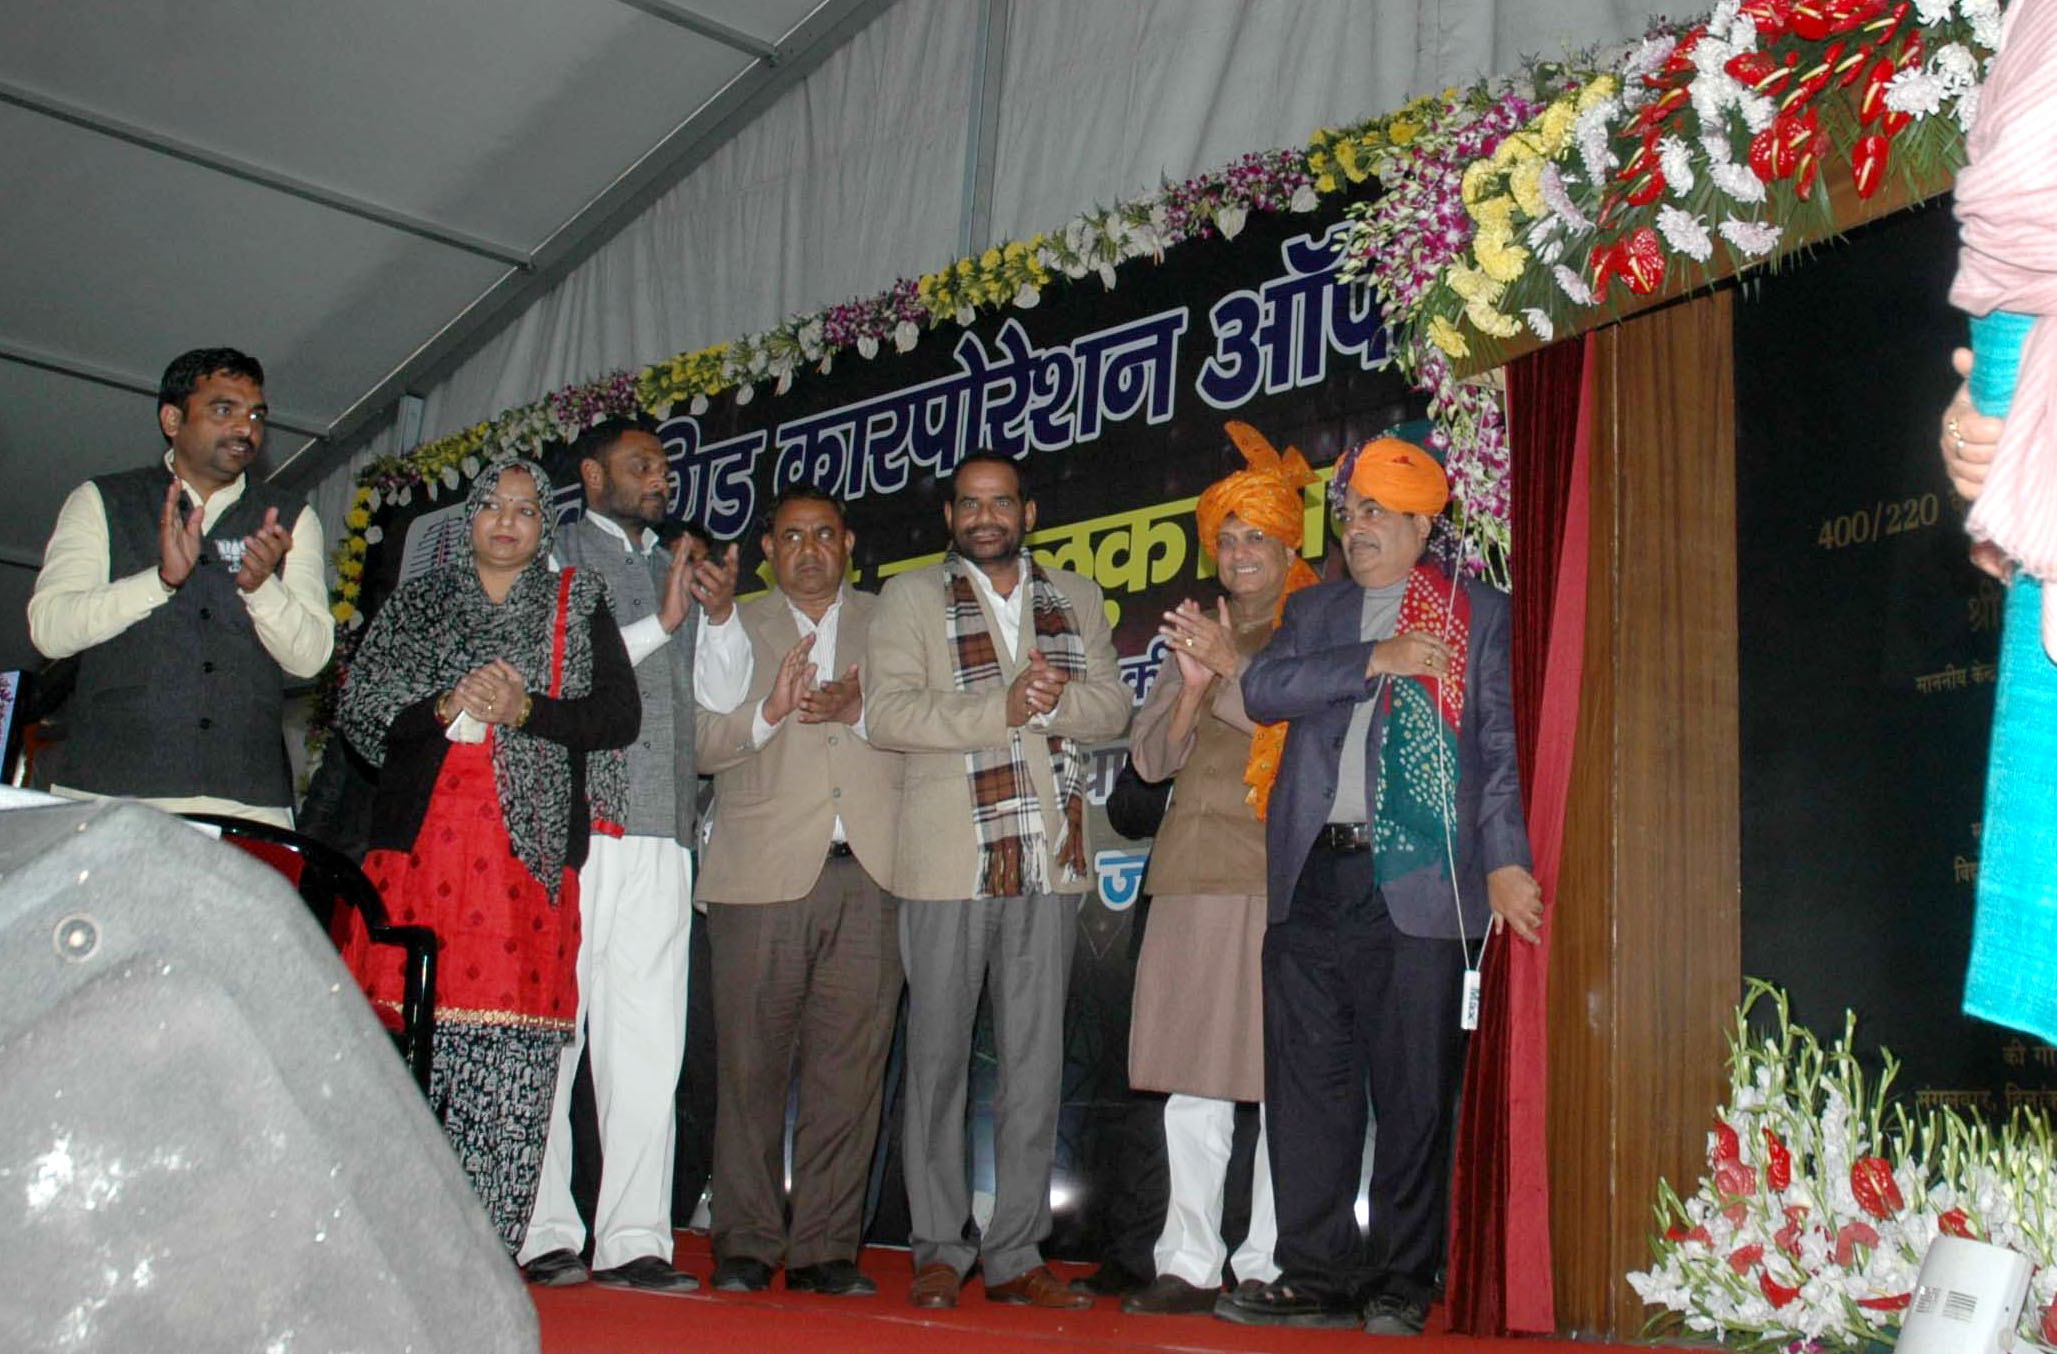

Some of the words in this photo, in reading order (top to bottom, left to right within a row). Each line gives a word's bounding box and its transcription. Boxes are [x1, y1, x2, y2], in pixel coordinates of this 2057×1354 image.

[772, 311, 1183, 501] कारपोरेशन
[1191, 217, 1387, 413] ऑप
[1811, 489, 1939, 552] 400/220